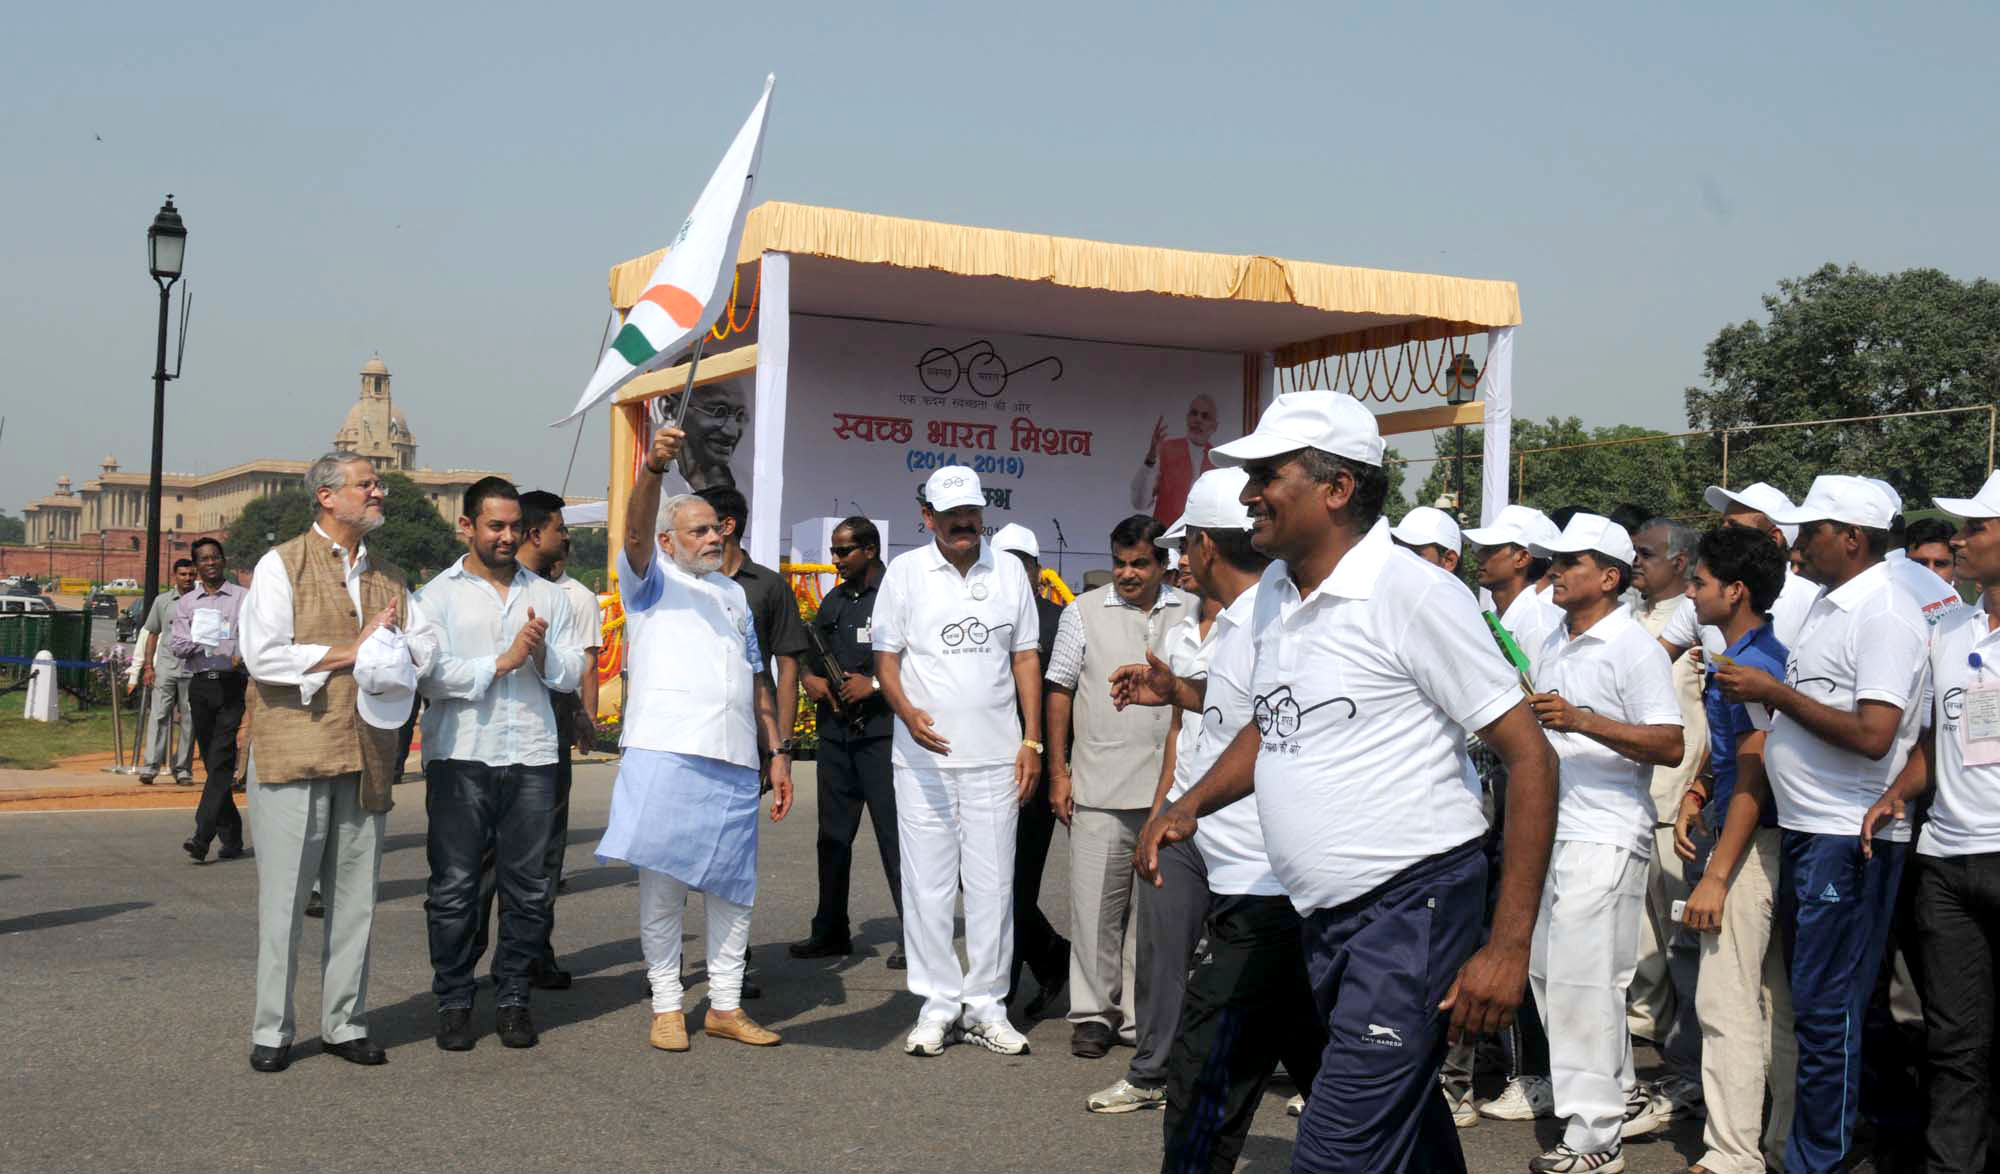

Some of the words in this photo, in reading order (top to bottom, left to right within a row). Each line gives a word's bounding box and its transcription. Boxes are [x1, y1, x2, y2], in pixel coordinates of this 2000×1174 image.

[890, 389, 920, 413] एफ
[947, 393, 989, 411] स्वच्छता
[1009, 394, 1035, 416] ओर
[830, 409, 917, 447] स्वच्छ
[925, 415, 999, 452] भारत
[1003, 409, 1096, 458] मिशन
[908, 445, 1023, 475] (2014-2019)